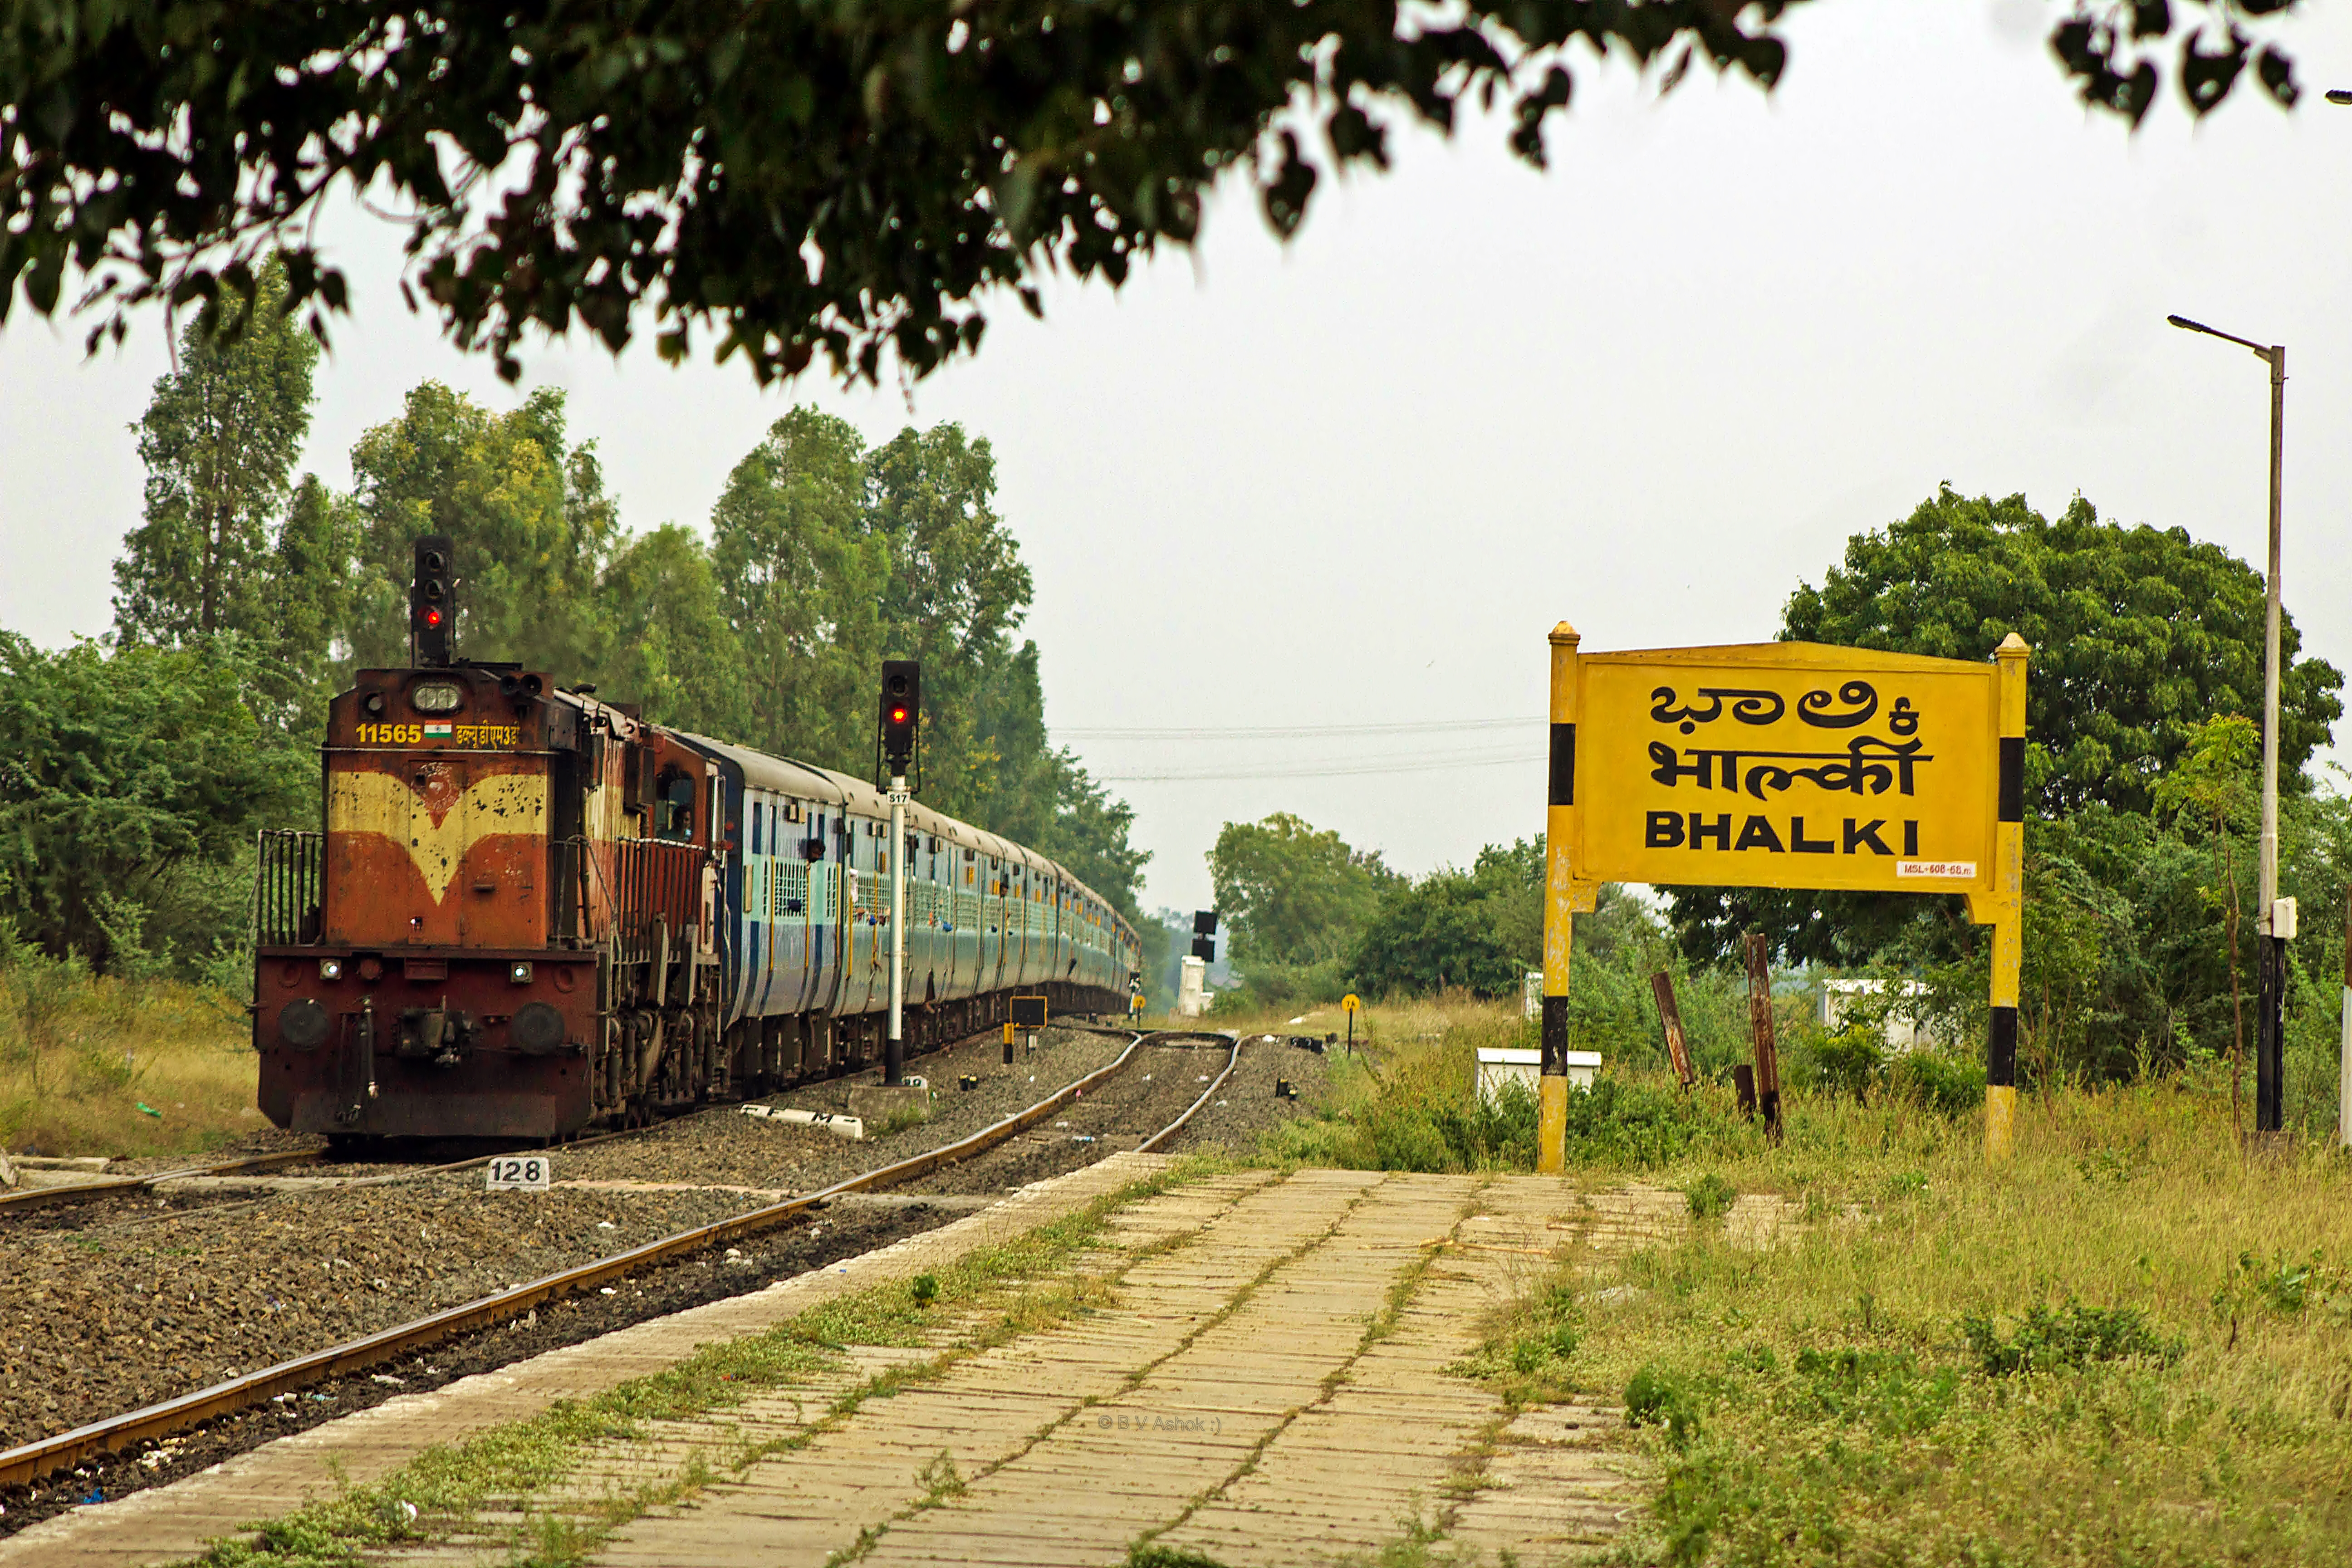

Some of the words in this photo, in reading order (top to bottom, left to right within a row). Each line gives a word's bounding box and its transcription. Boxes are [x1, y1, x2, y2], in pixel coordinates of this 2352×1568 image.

[1645, 674, 1924, 738] ಭಾಲಿಕಿ
[355, 720, 424, 746] 11565
[452, 715, 523, 751] डब्ल्यूडीएम3डी
[1647, 731, 1935, 803] भाल्की
[1642, 808, 1921, 857] BHALKI
[1902, 862, 1973, 877] MSL+608-66.m
[487, 1157, 542, 1189] 128